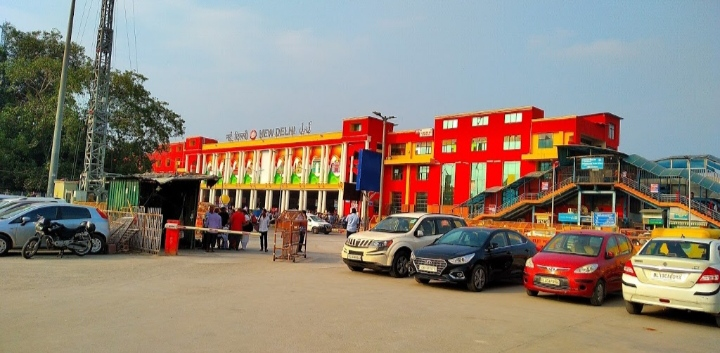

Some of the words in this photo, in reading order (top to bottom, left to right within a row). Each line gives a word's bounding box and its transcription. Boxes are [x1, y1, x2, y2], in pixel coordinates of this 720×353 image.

[221, 128, 236, 143] नई
[257, 126, 277, 140] NEW
[273, 123, 298, 139] DELHI